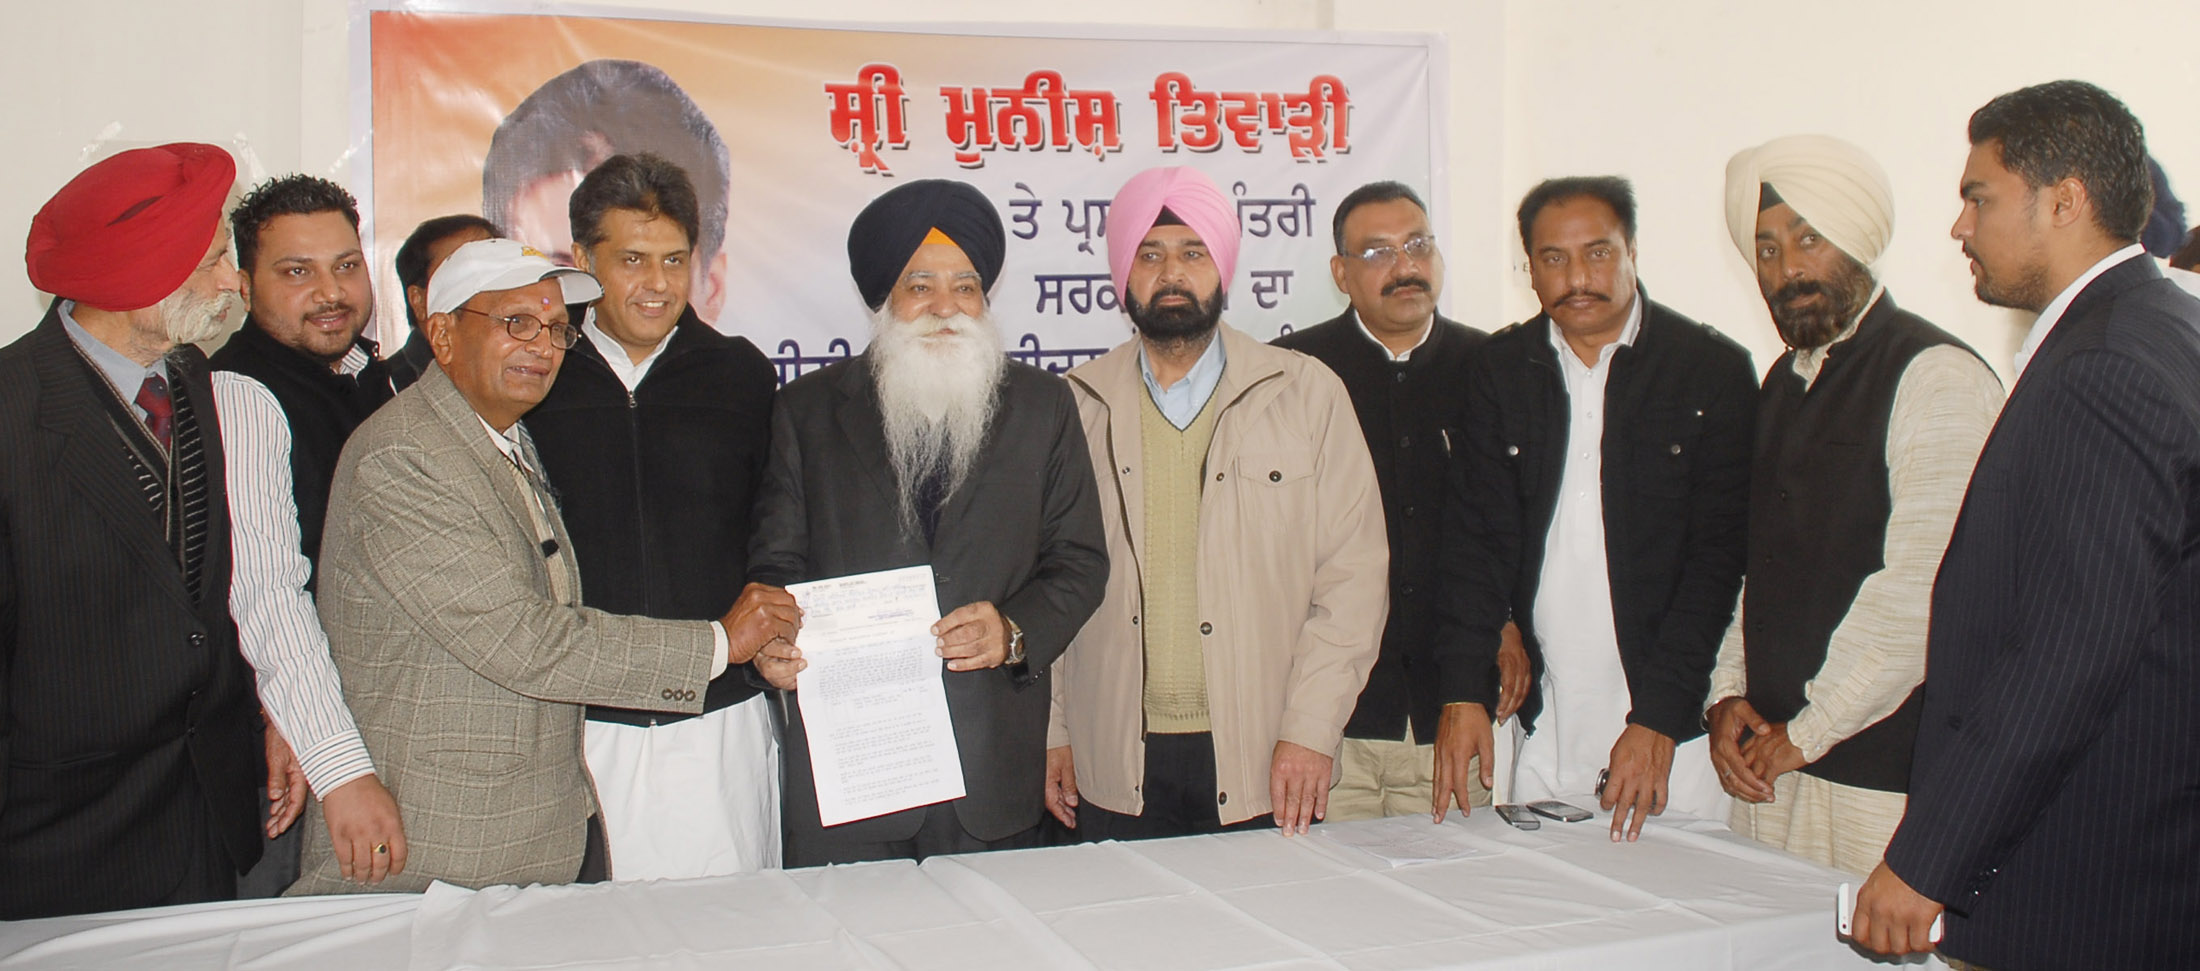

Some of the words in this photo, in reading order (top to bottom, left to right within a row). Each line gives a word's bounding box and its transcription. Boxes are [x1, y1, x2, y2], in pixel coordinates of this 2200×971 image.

[800, 52, 924, 187] ਸ੍ਰੀ
[930, 61, 1129, 169] ਮੁਨੀਸ਼
[1141, 61, 1371, 177] ਤਿਵਾੜੀ
[1001, 174, 1051, 248] ਤੇ
[1245, 179, 1325, 250] ਤਰੀ
[1024, 265, 1128, 326] ਸਰਕ
[1241, 259, 1302, 315] ਦਾ